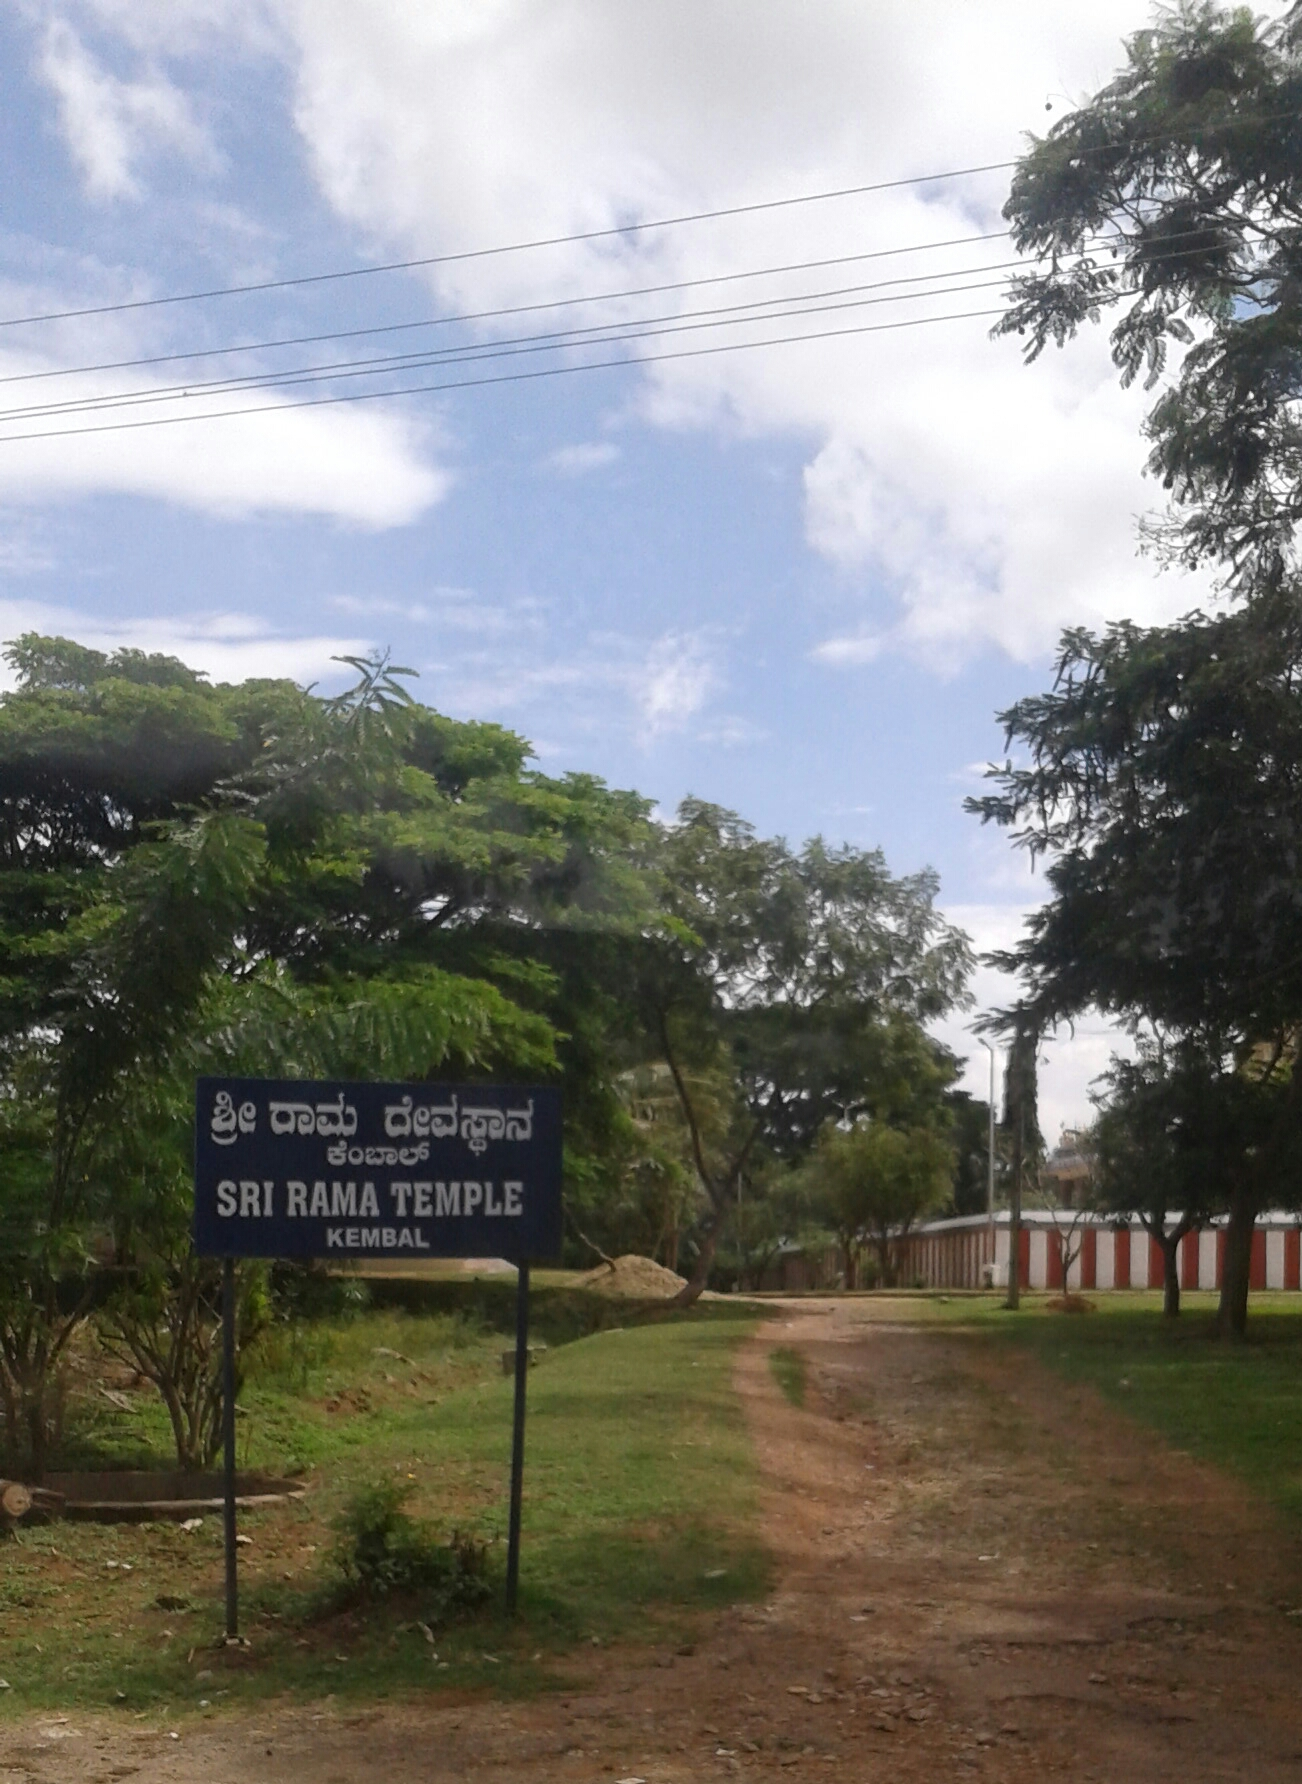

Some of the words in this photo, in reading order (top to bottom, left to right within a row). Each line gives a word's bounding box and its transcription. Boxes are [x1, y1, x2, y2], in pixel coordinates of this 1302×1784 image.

[202, 1079, 263, 1151] ಶ್ರೀ
[263, 1083, 362, 1141] ರಾಮ
[379, 1087, 538, 1159] ದೇವಸ್ಥಾನ
[316, 1131, 435, 1171] ಕೆಂಬಾಲ್
[205, 1174, 278, 1225] SRI
[282, 1180, 383, 1220] RAMA
[388, 1177, 527, 1223] TEMPLE
[325, 1222, 436, 1253] KEMBAL